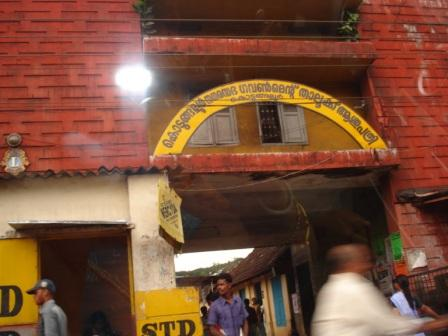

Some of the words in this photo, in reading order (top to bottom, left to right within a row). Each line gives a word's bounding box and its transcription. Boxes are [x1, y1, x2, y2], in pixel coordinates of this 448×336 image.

[237, 75, 302, 101] ഗവൺ‌മെൻ്റ്